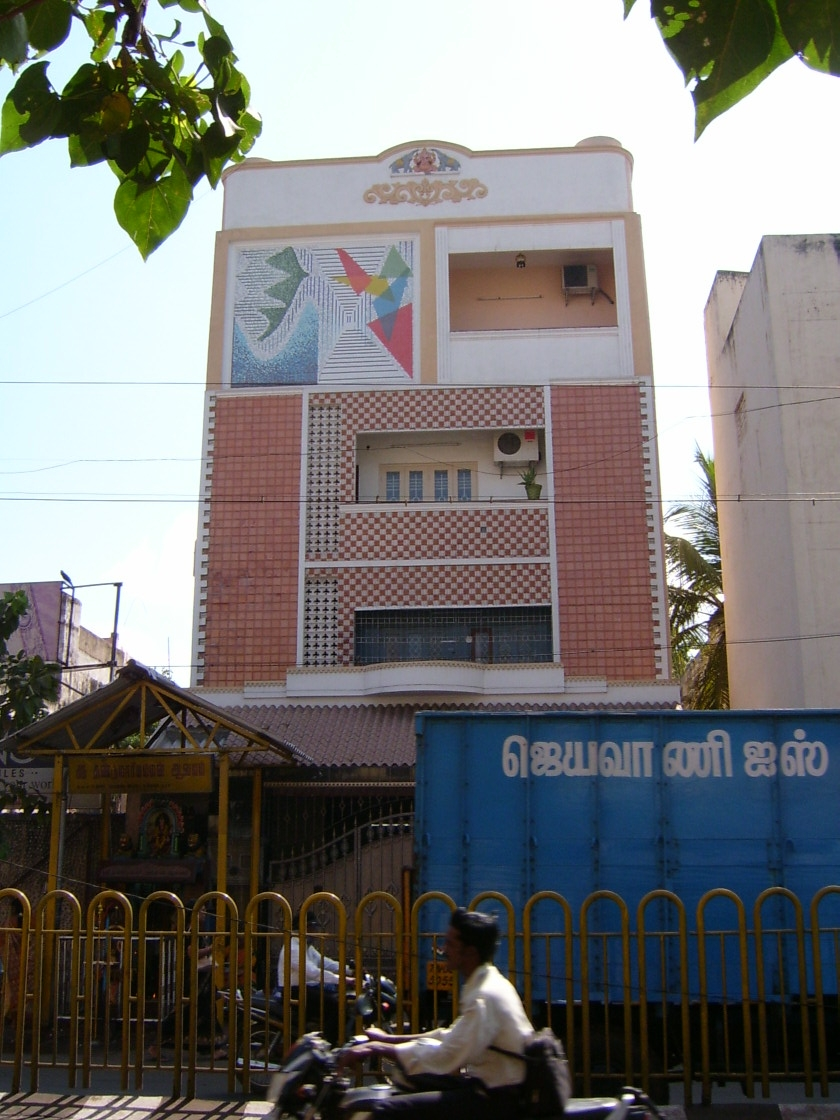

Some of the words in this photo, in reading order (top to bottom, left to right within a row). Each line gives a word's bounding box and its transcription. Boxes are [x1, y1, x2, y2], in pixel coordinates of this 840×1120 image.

[498, 727, 658, 784] ஜெயவா
[654, 715, 740, 785] ணி
[735, 719, 834, 783] ஐஸ்